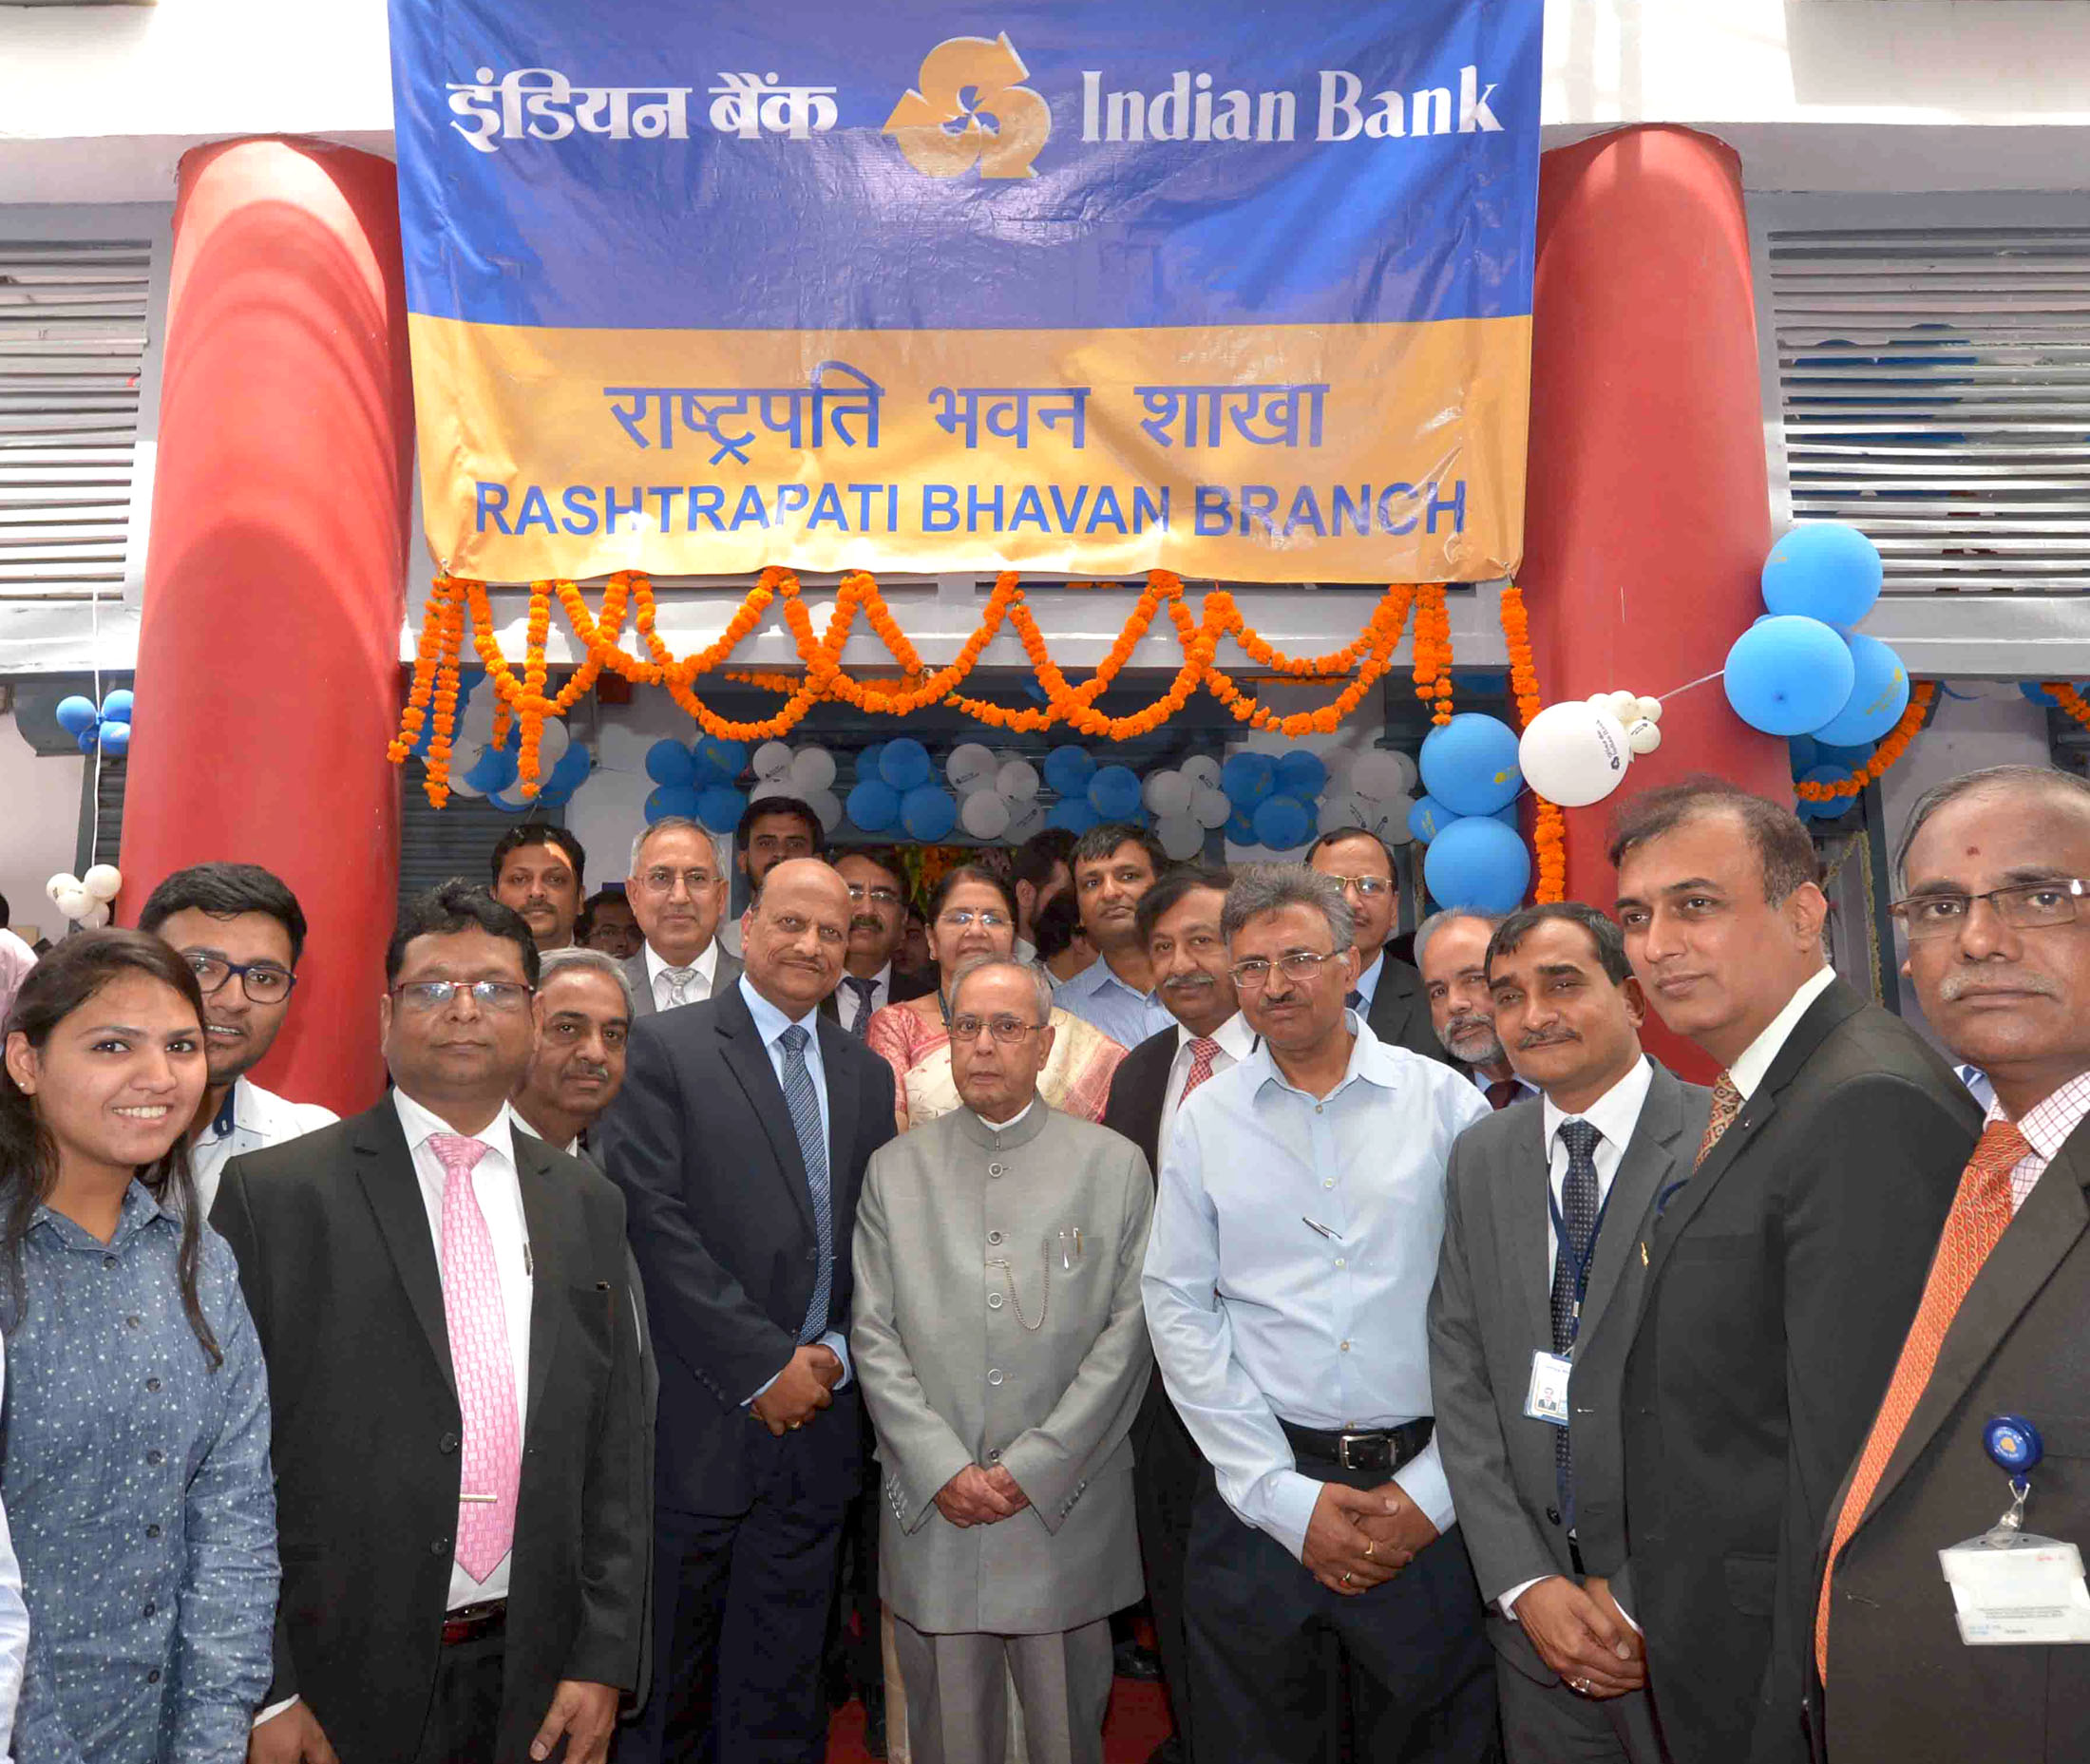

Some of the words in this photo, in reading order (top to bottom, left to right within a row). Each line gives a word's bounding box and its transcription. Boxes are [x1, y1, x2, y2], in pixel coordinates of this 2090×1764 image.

[439, 59, 692, 160] इंडियन
[699, 66, 845, 142] बैंक
[1074, 65, 1301, 145] Indian
[1307, 59, 1506, 147] Bank
[598, 352, 888, 469] राष्ट्रपति
[924, 384, 1093, 454] भवन
[1130, 383, 1333, 453] शाखा
[473, 480, 902, 540] RASHTRAPATI
[919, 481, 1173, 537] BHAVAN
[1189, 479, 1468, 539] BRANCH